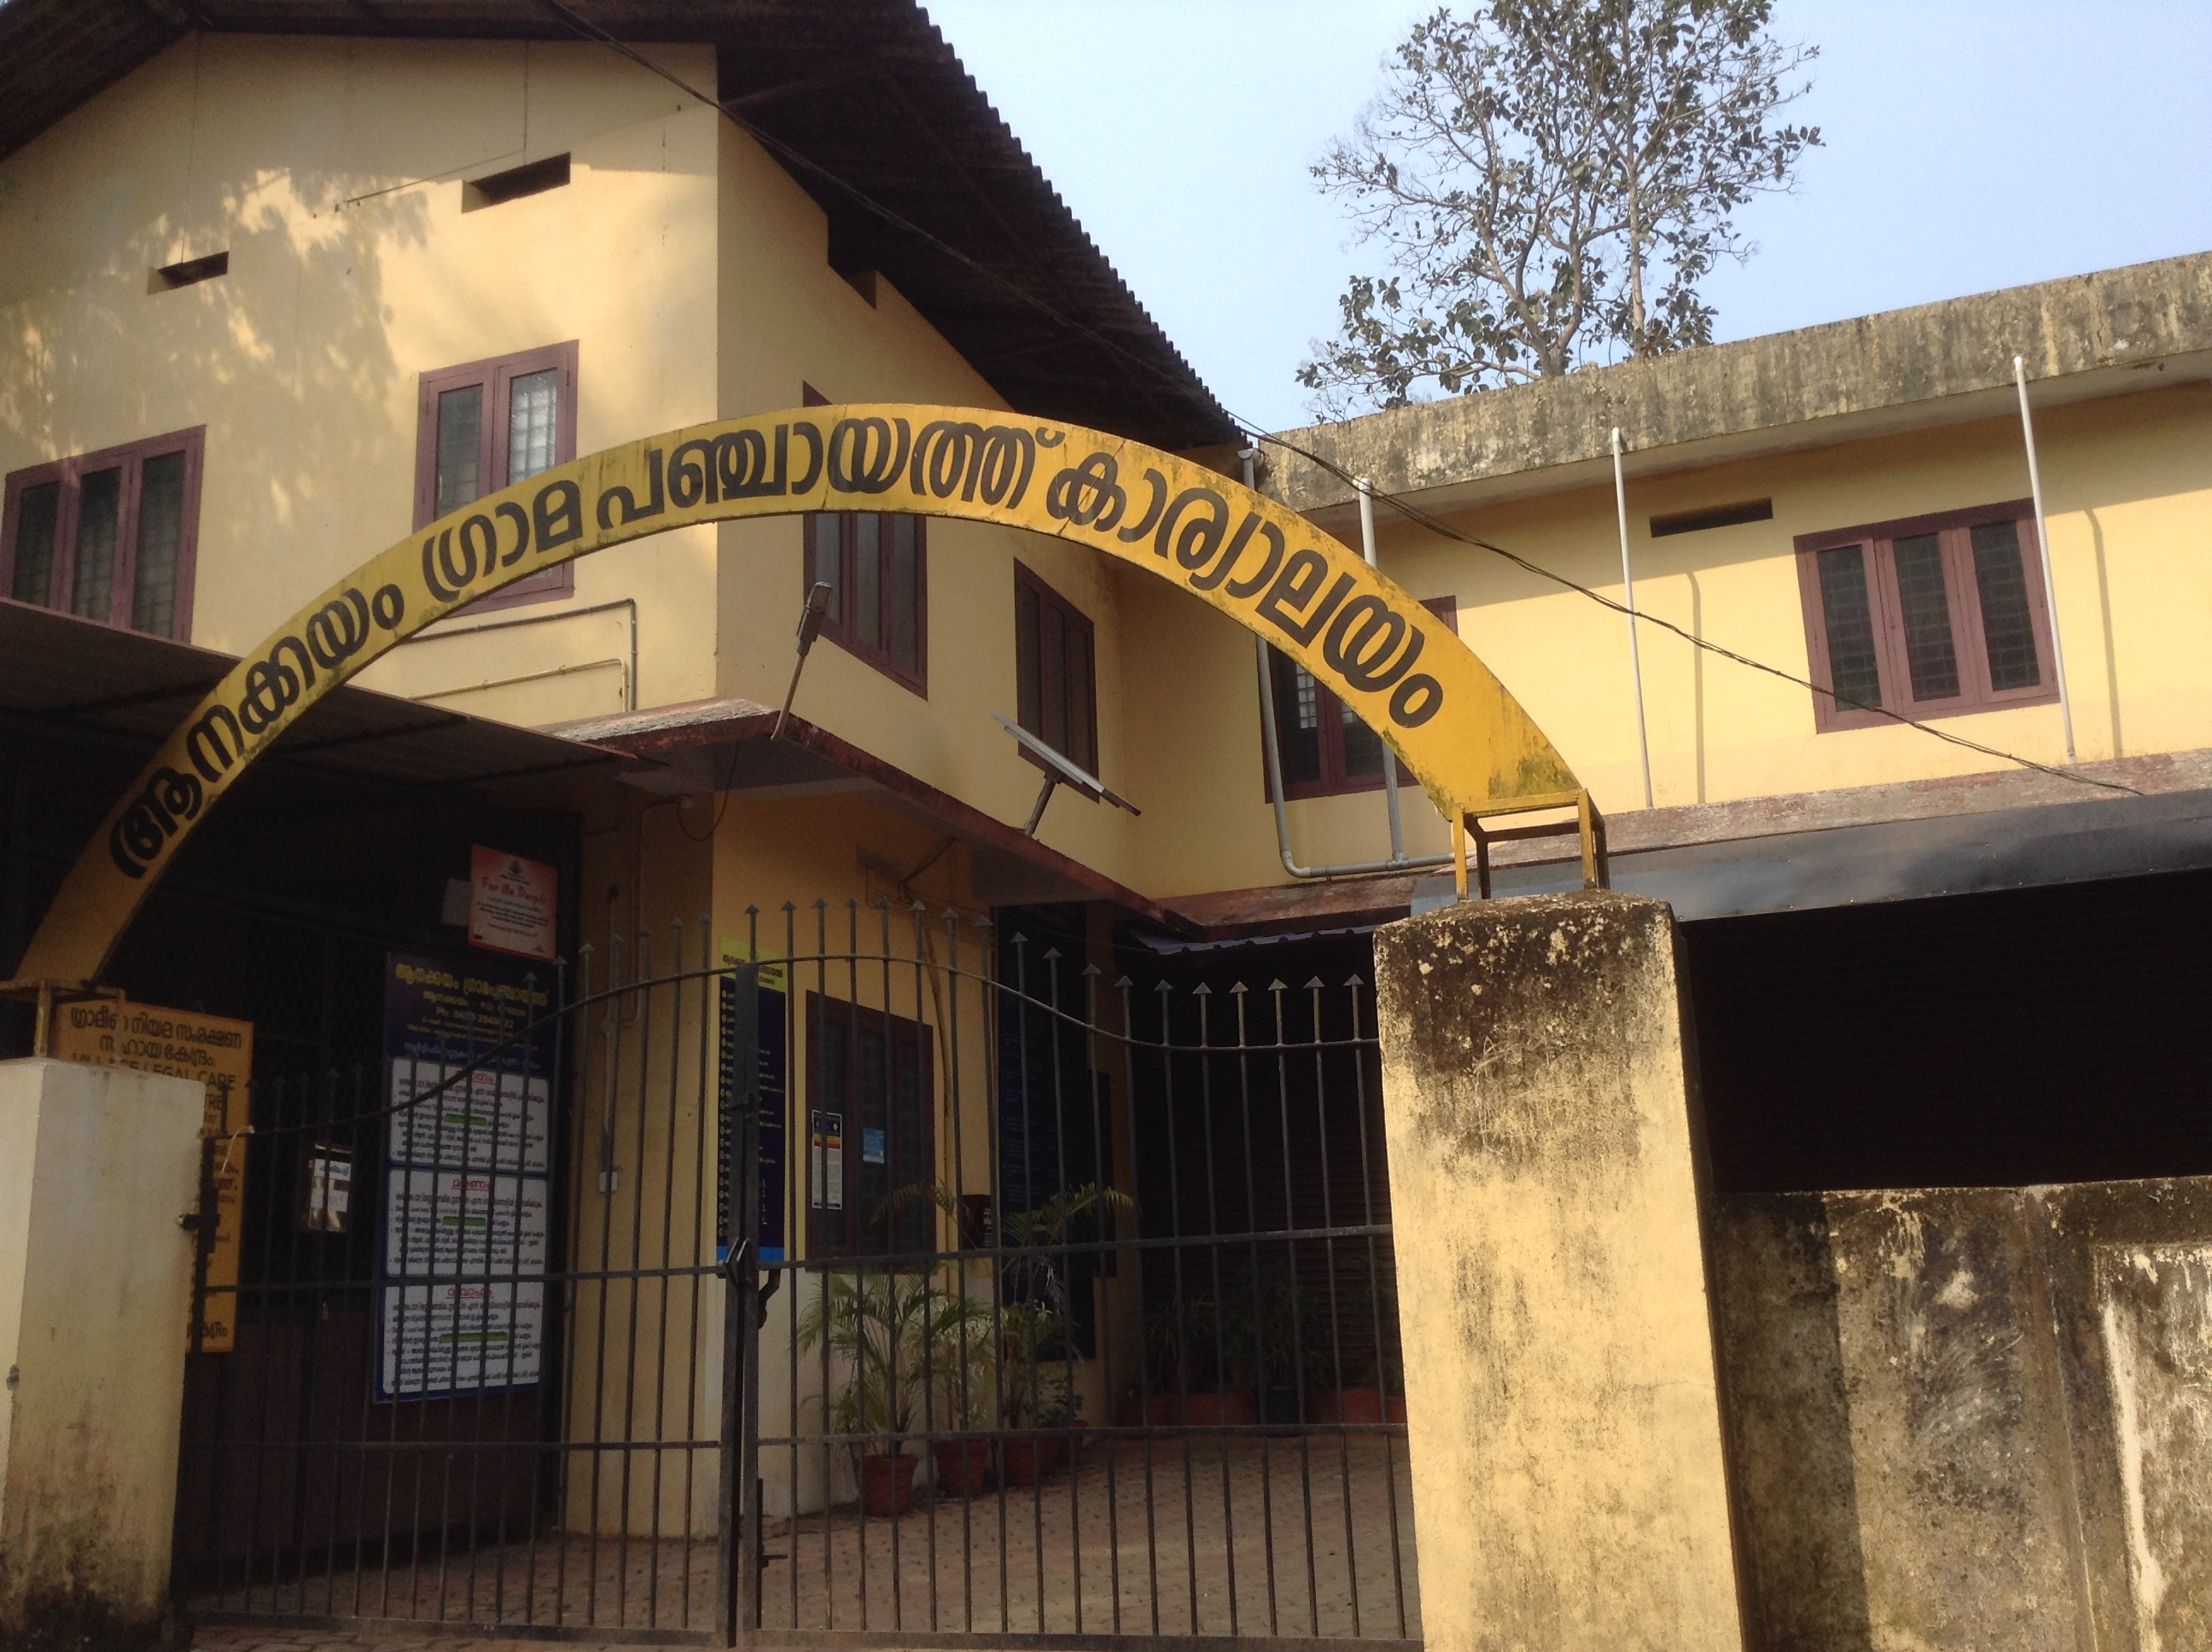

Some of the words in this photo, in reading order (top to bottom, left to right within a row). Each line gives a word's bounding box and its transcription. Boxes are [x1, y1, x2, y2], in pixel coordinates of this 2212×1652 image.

[416, 405, 1067, 602] ഗ്രാമപഞ്ചായത്ത്
[1039, 441, 1454, 738] കാര്യാലയം
[92, 576, 409, 885] അനക്കയം
[392, 957, 462, 993] ആനക്കയം
[64, 996, 120, 1035] ഗ്രാമി 6
[93, 1033, 117, 1056] ന
[118, 1035, 222, 1070] ഹായകേന്ദ്രം
[124, 1006, 245, 1051] നിയമസംരക്ഷണ